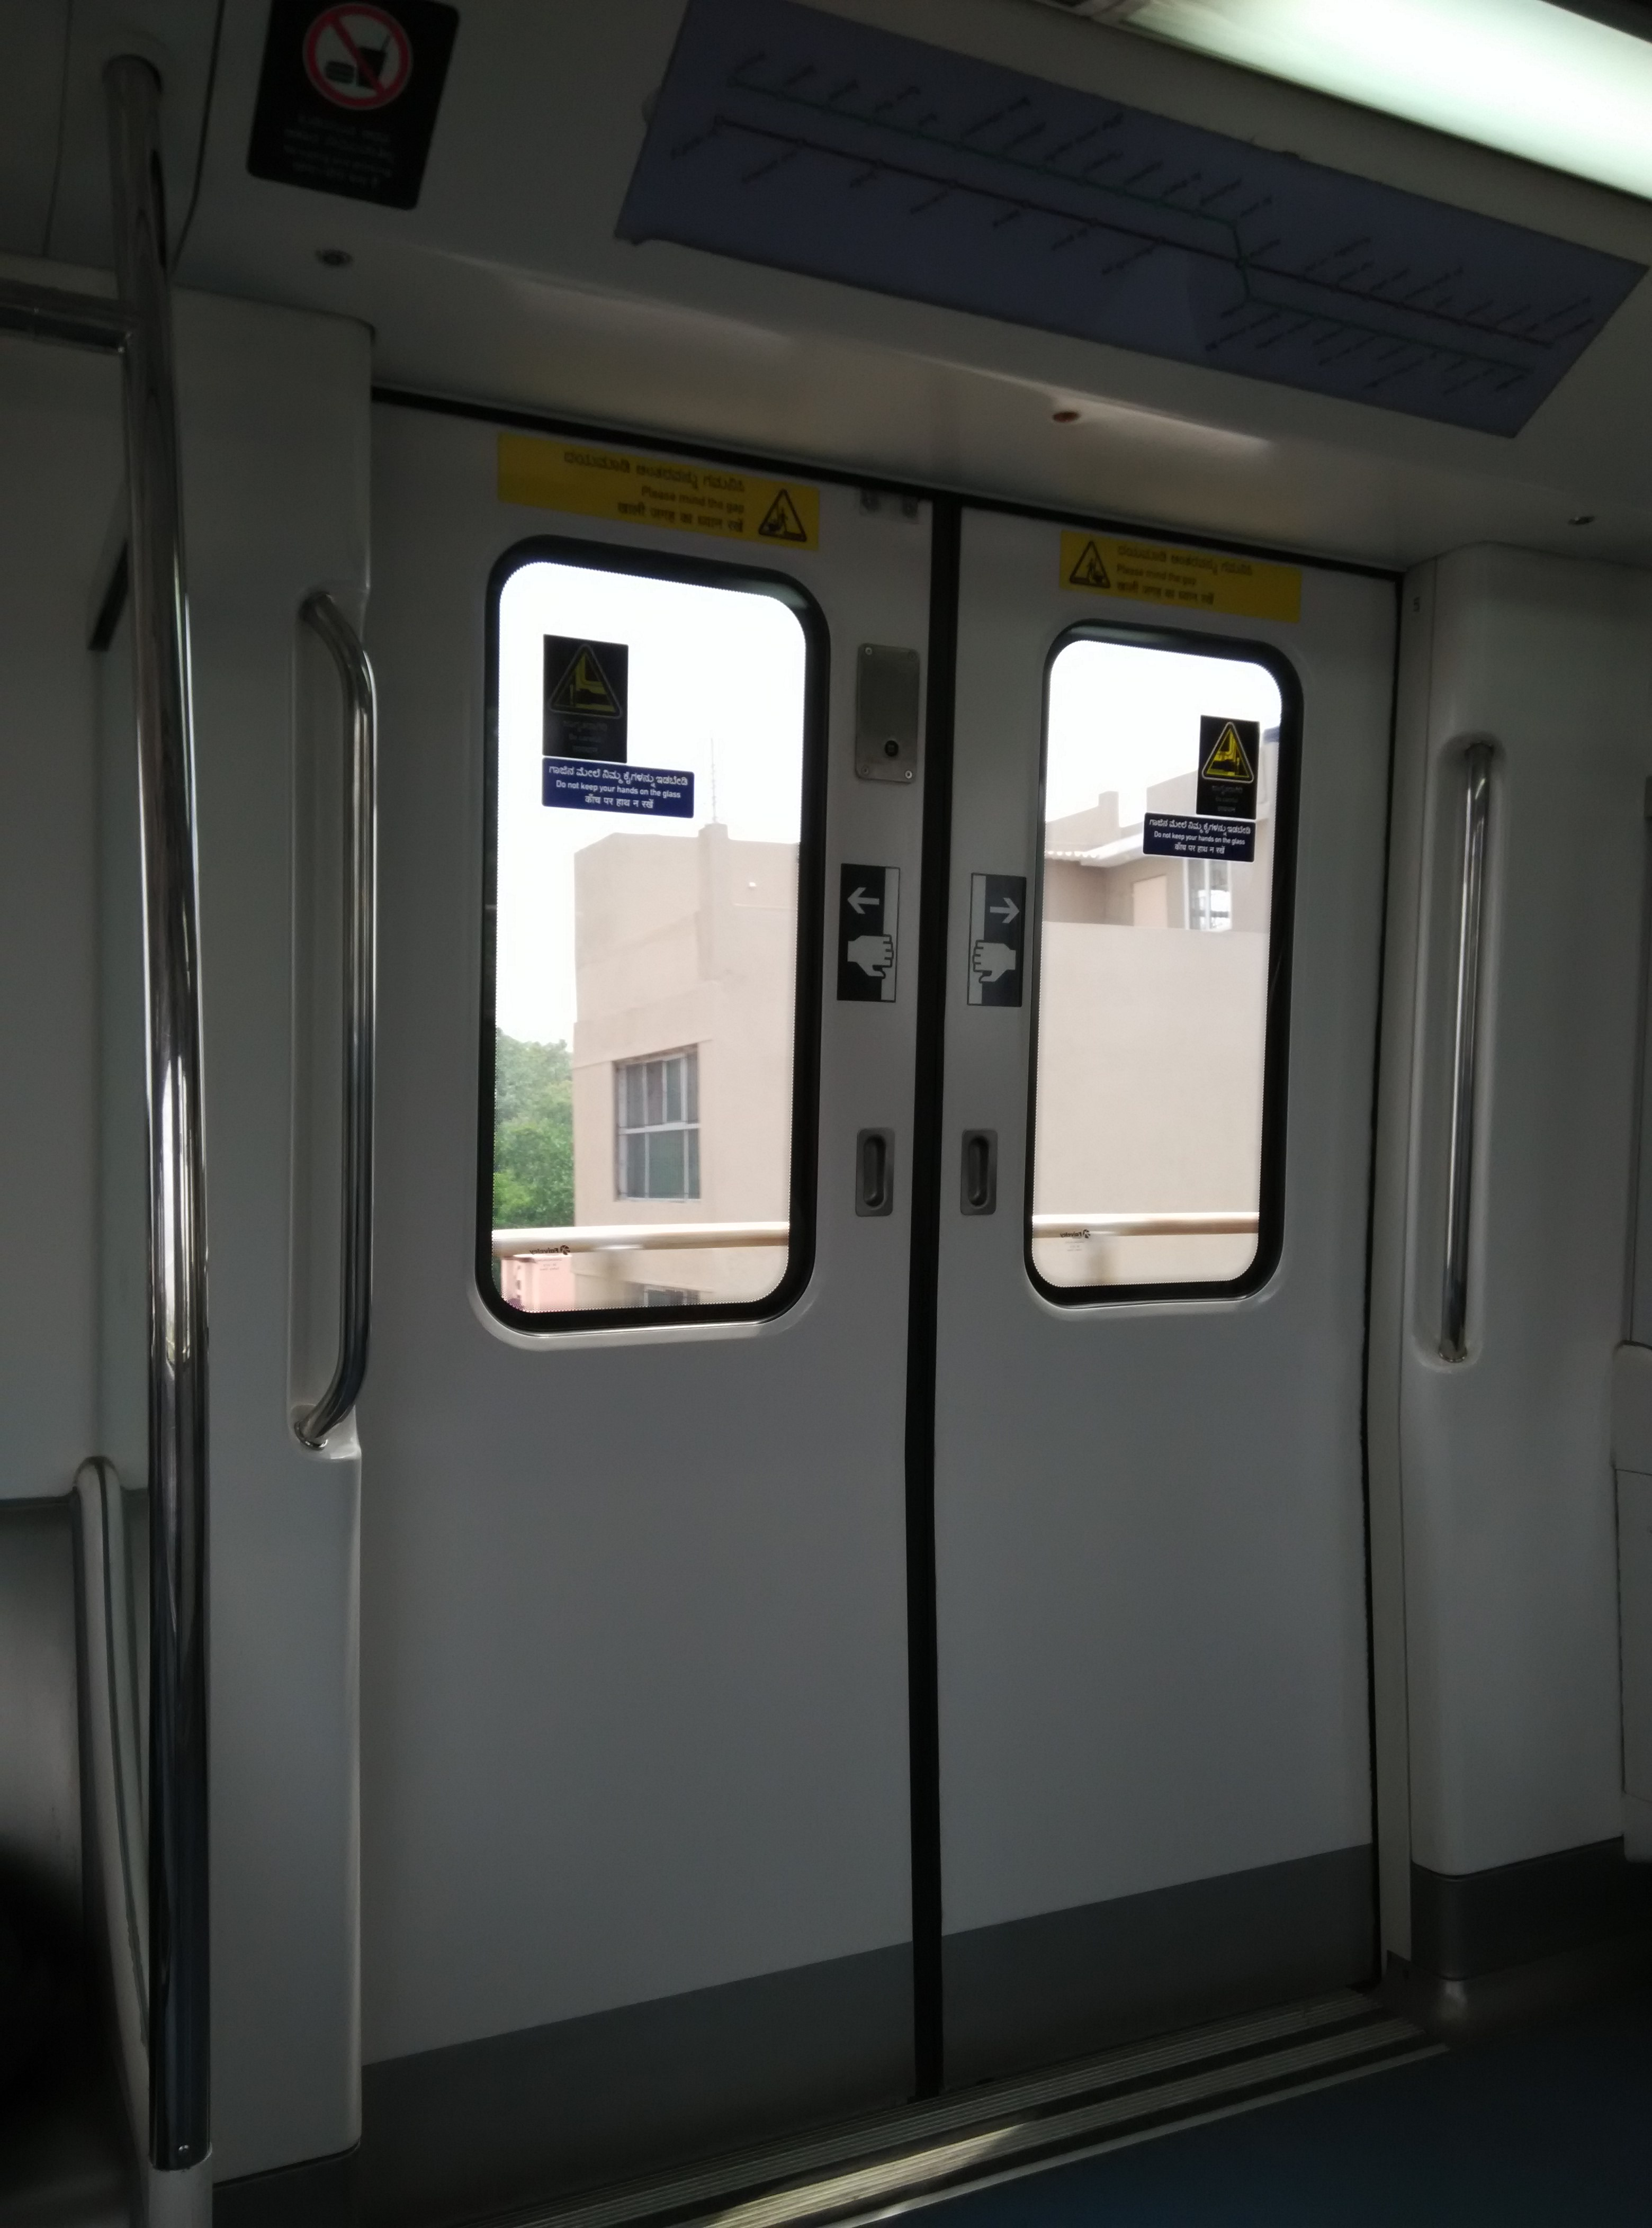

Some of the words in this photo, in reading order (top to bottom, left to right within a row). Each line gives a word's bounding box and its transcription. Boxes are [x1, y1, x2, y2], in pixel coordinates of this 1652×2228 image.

[702, 471, 748, 495] ಗಮನಿಸಿ
[638, 481, 679, 504] Please
[616, 497, 647, 518] खाली
[649, 504, 680, 526] ೦೯೯
[726, 513, 748, 534] रखे
[1114, 560, 1145, 578] Please
[546, 761, 576, 777] ಗಾಜಿನ
[553, 778, 569, 790] Do
[564, 780, 581, 792] not
[574, 763, 603, 780] ಮೇಲ
[579, 781, 601, 795] keep
[581, 792, 603, 806] काँच
[598, 784, 617, 796] your
[600, 795, 616, 807] पर
[614, 797, 632, 808] हाथ
[615, 782, 641, 796] hands
[600, 766, 658, 789] ನಿಮ್ಮಕೈಗಳನ್ನು
[630, 796, 643, 810] न
[636, 786, 651, 798] on
[639, 793, 657, 812] रखें
[645, 787, 663, 800] the
[653, 772, 689, 789] ಇಡಬೇಡಿ
[660, 788, 684, 800] glass
[1151, 830, 1164, 841] Do
[1147, 815, 1171, 829] ಗಾಜಿನ
[1162, 830, 1174, 841] not
[1166, 817, 1189, 831] ಮೇಲಿ
[1170, 831, 1187, 841] keep
[1172, 840, 1189, 852] काँच
[1183, 833, 1200, 843] your
[1187, 843, 1197, 854] पर
[1194, 844, 1210, 856] हाथ
[1197, 834, 1216, 844] hands
[1186, 818, 1230, 837] ನಿಮ್ಮಕೈಗಳನ್ನು
[1208, 842, 1217, 857] न
[1212, 835, 1223, 845] on
[1214, 840, 1227, 856] रखें
[1229, 834, 1247, 847] glass
[1225, 823, 1253, 835] ಇಡಬೇಡಿ